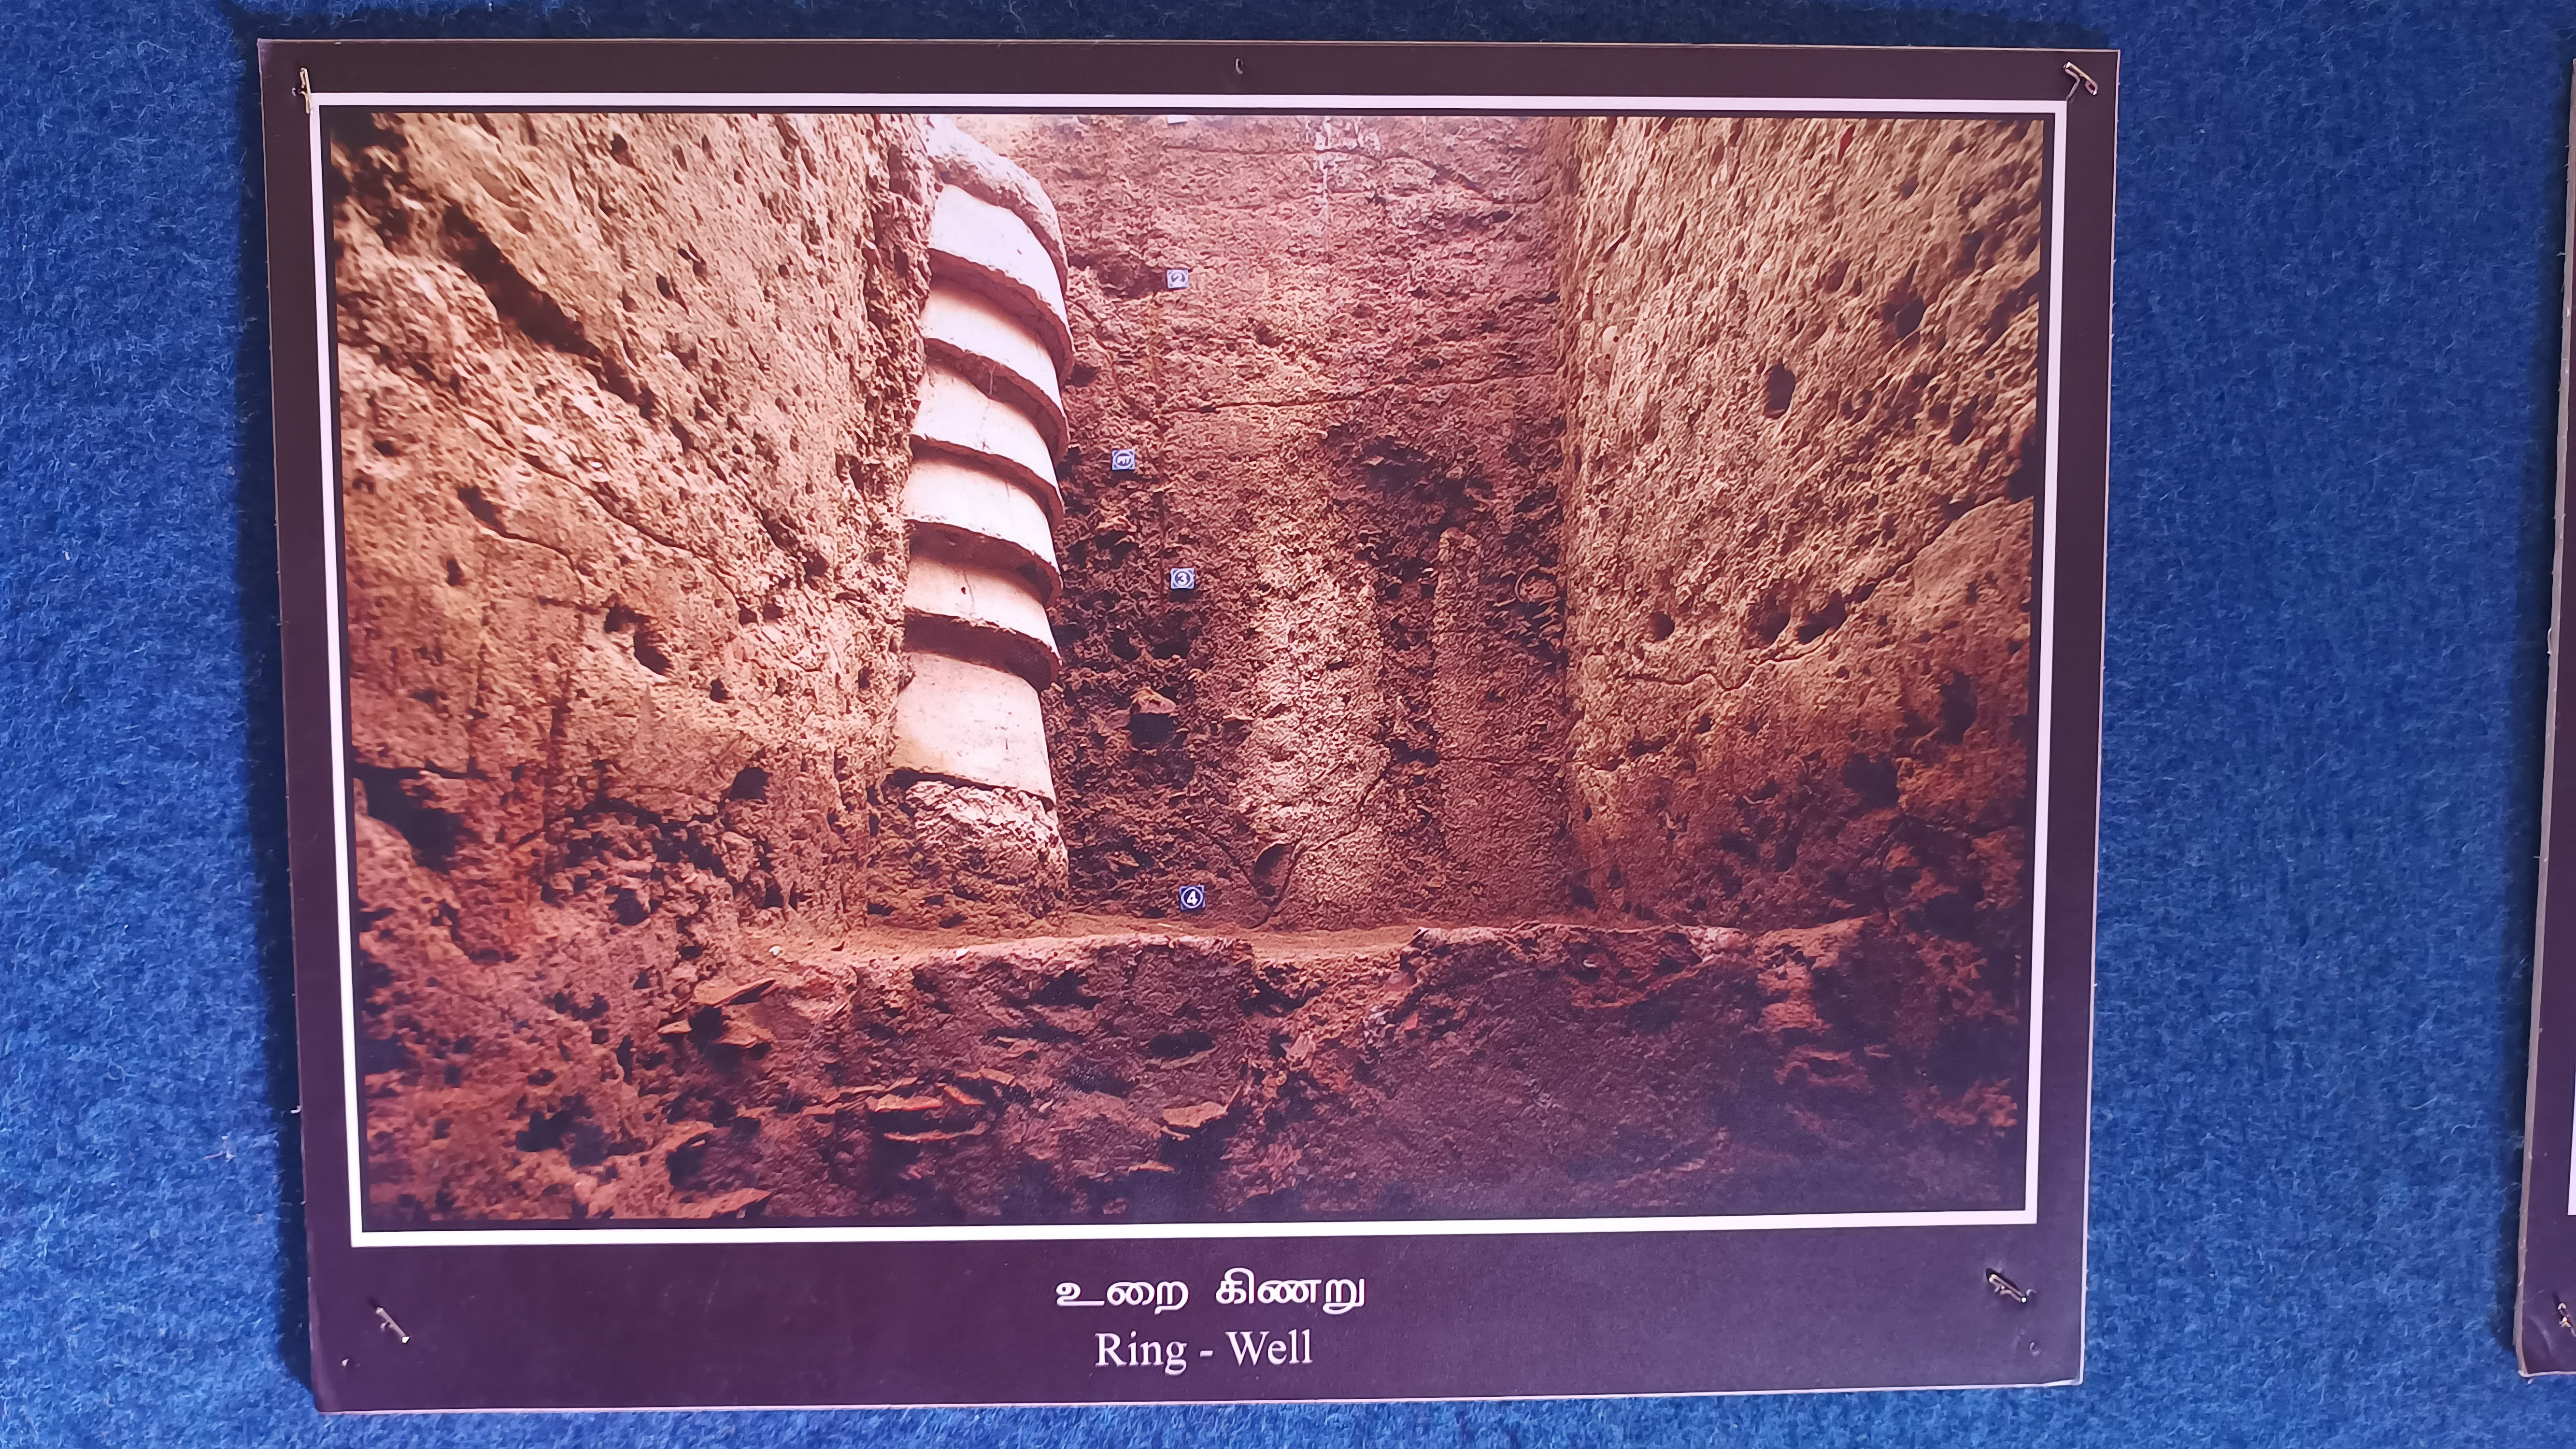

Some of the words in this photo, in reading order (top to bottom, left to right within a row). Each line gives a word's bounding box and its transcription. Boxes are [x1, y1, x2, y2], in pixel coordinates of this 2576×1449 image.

[1051, 1279, 1195, 1319] உறை
[1214, 1263, 1369, 1322] கிணறு
[1091, 1329, 1192, 1380] Ring
[1224, 1328, 1314, 1367] Well